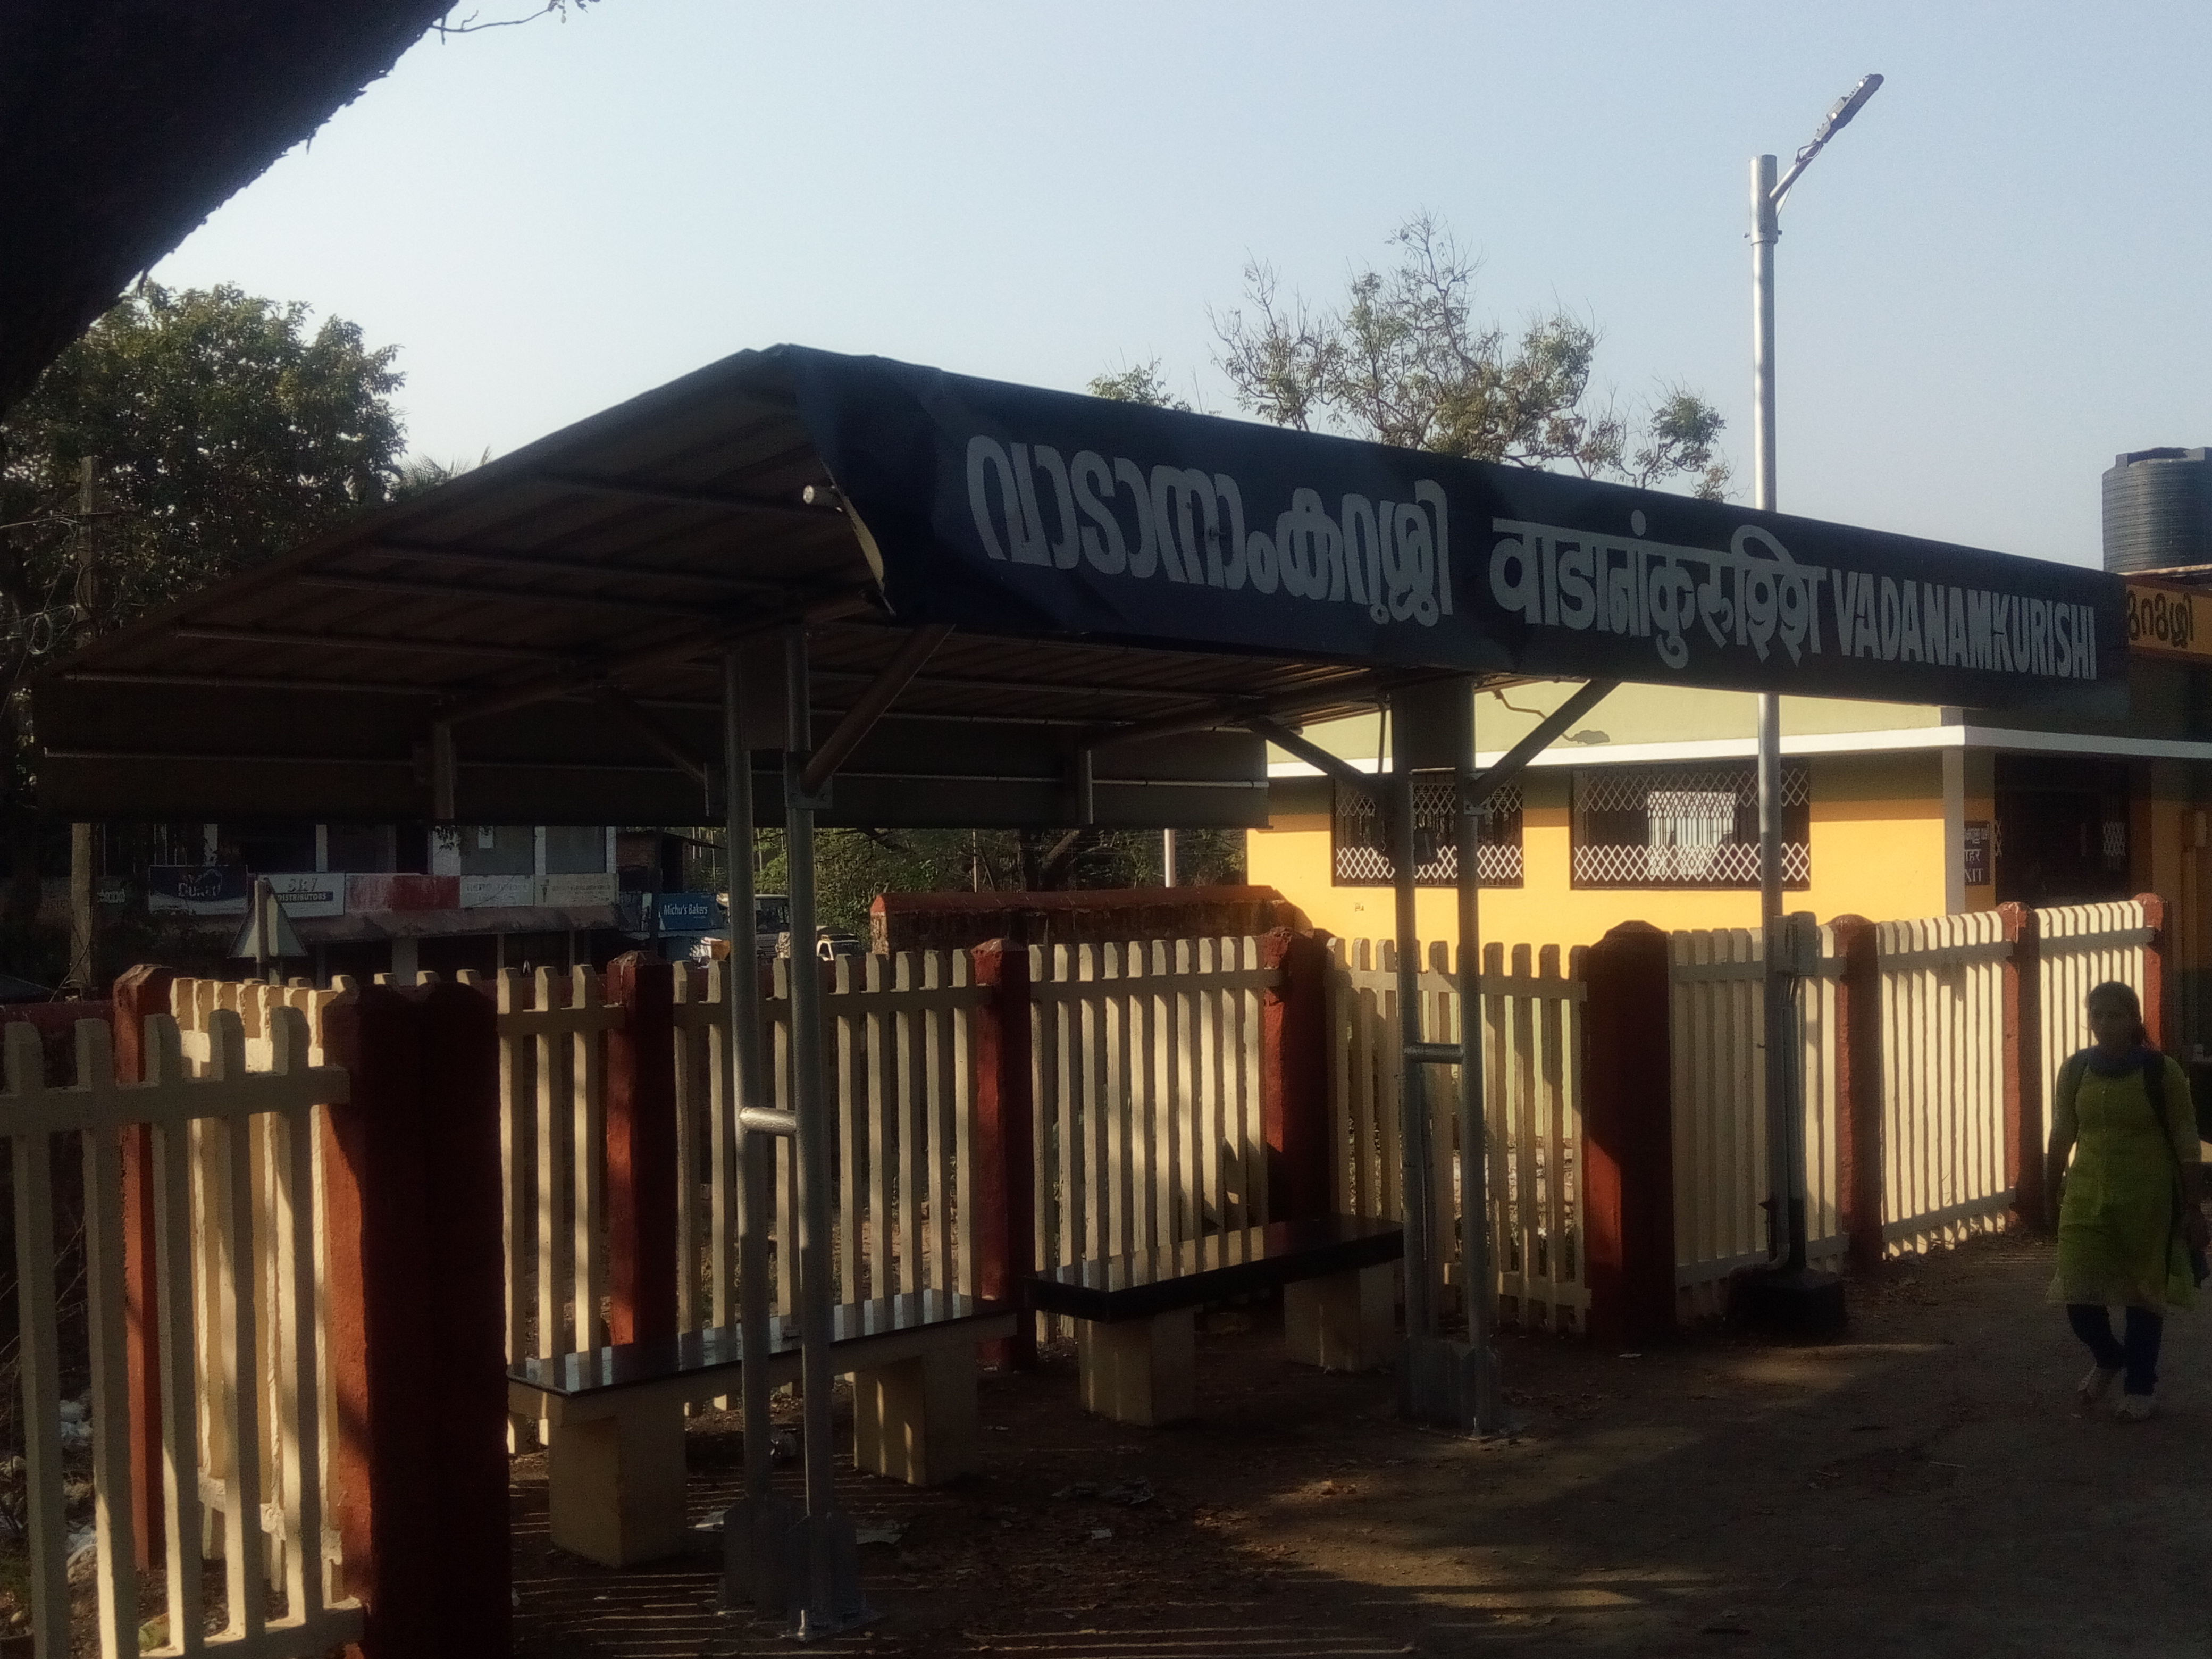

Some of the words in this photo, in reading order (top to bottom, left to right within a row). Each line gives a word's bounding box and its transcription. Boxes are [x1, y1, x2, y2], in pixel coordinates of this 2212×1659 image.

[956, 421, 1457, 633] വാടാനാംകരശ്ശി
[1477, 502, 1829, 673] वाडानांकुरूश्शि
[1830, 562, 2100, 685] VADANAMKURISHI
[2121, 584, 2201, 651] റുശ്ശി